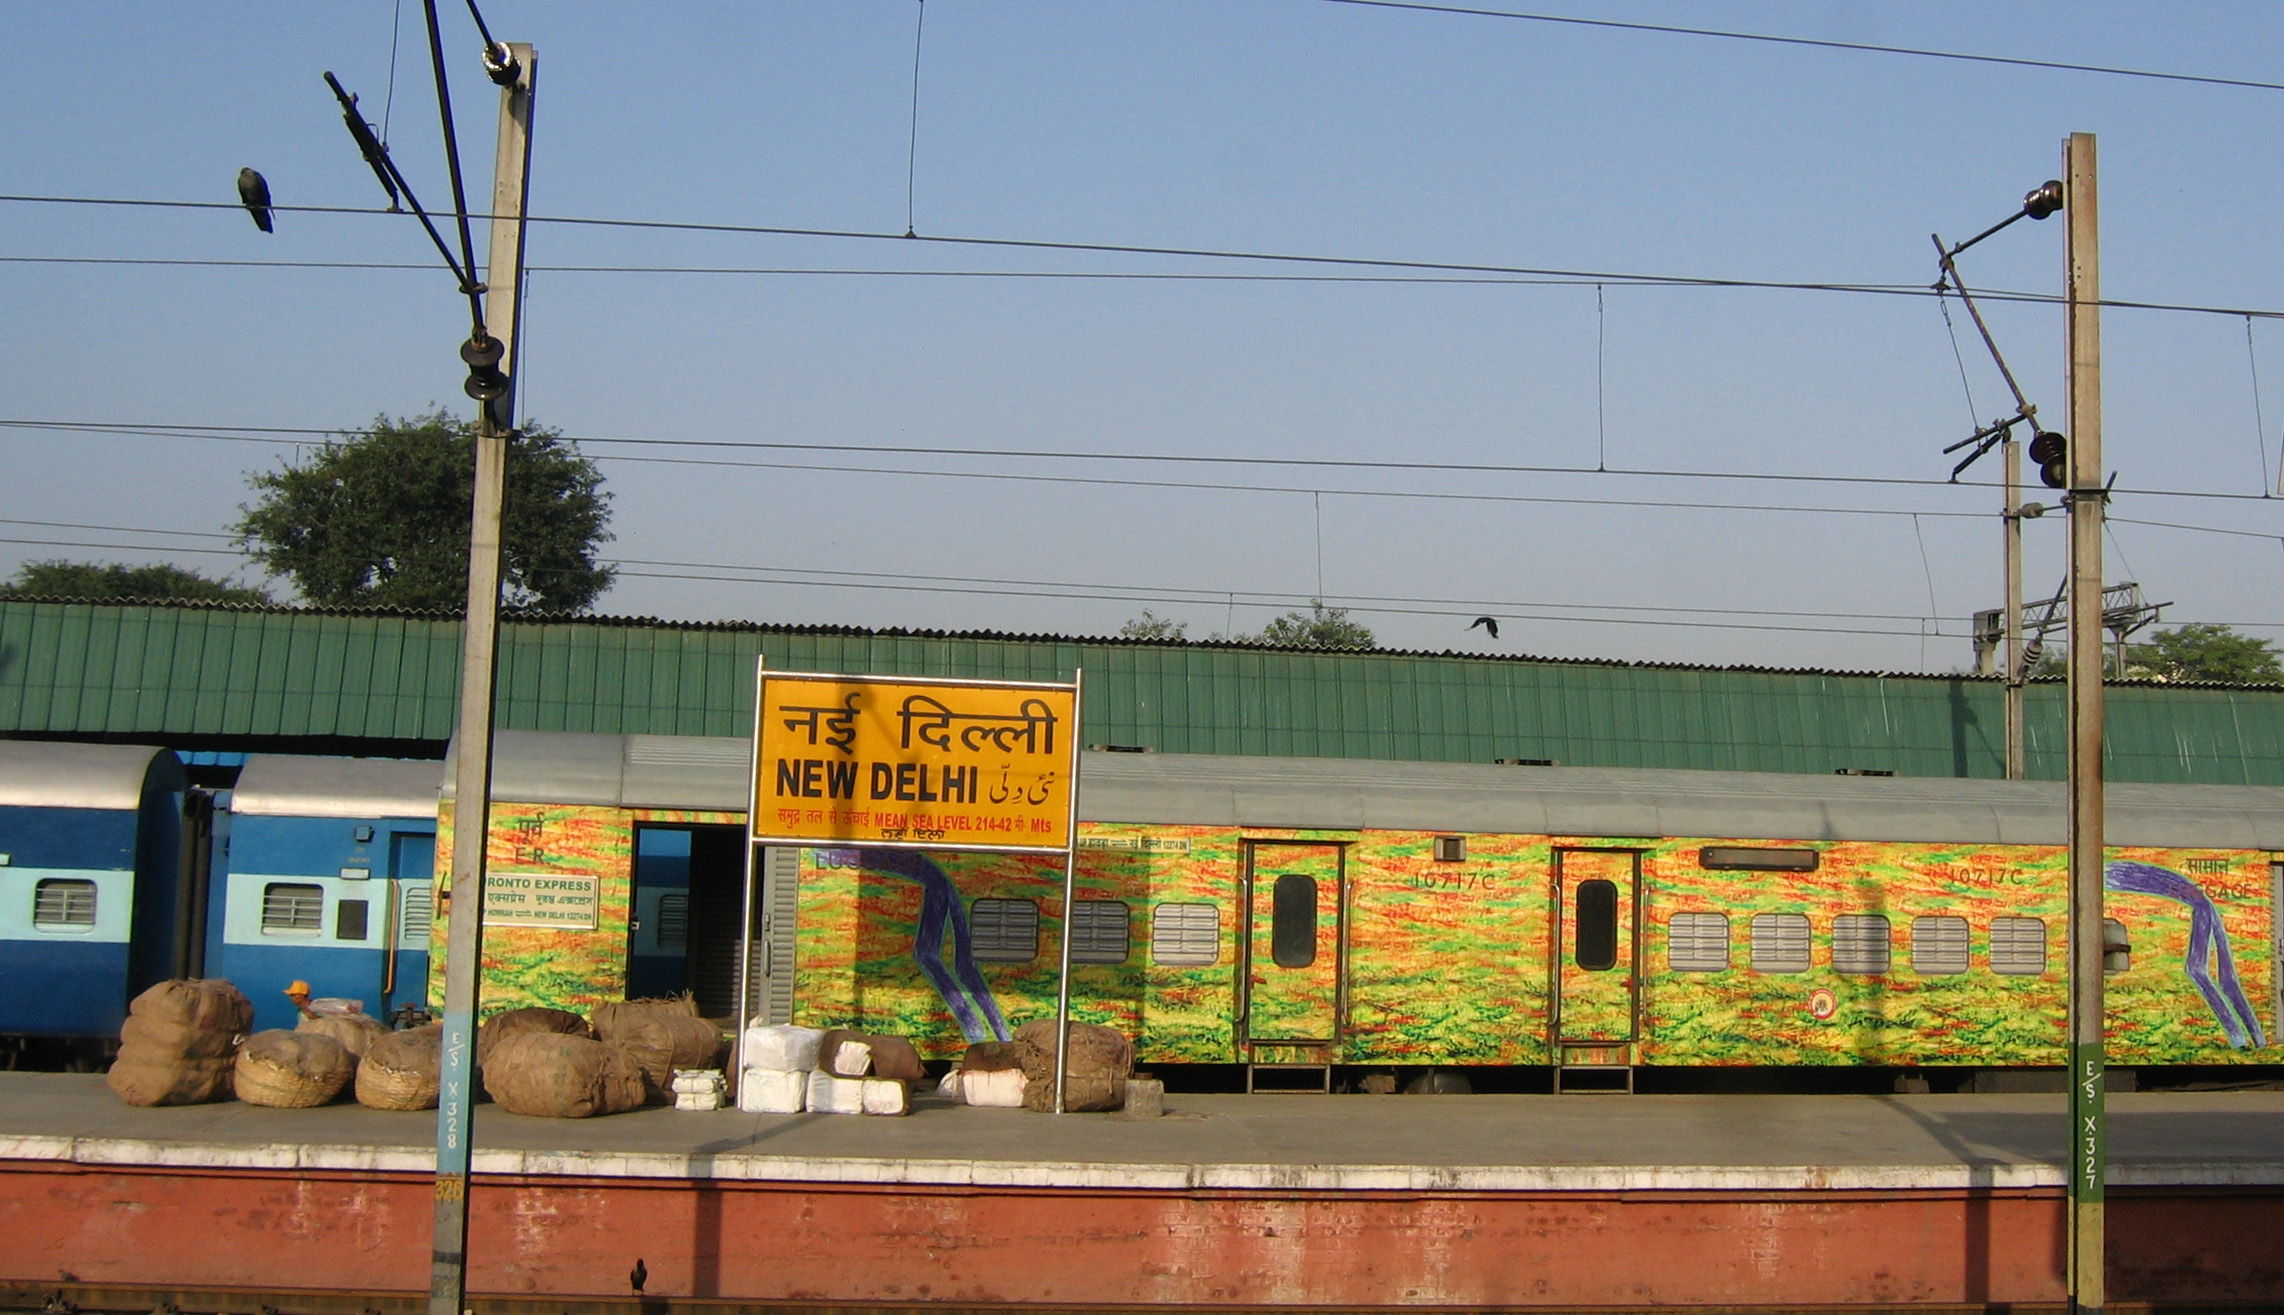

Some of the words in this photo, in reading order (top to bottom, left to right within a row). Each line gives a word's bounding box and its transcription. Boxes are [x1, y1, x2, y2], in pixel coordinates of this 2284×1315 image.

[777, 685, 864, 758] नई
[890, 686, 1062, 759] दिल्ली
[769, 750, 860, 802] NEW
[864, 760, 983, 807] DELHI
[512, 804, 550, 852] पूर्व
[775, 803, 804, 835] समुद्र
[803, 806, 825, 827] तल
[823, 799, 841, 831] सेे
[835, 802, 874, 830] ऊँचाई
[871, 809, 912, 833] MEAN
[906, 809, 937, 831] SEA
[933, 811, 974, 833] LEVEL
[971, 808, 1056, 834] 214-42मी. Mts
[485, 887, 531, 906] एक्सप्रेस
[483, 873, 535, 891] RONTO
[529, 876, 595, 898] EXPRESS